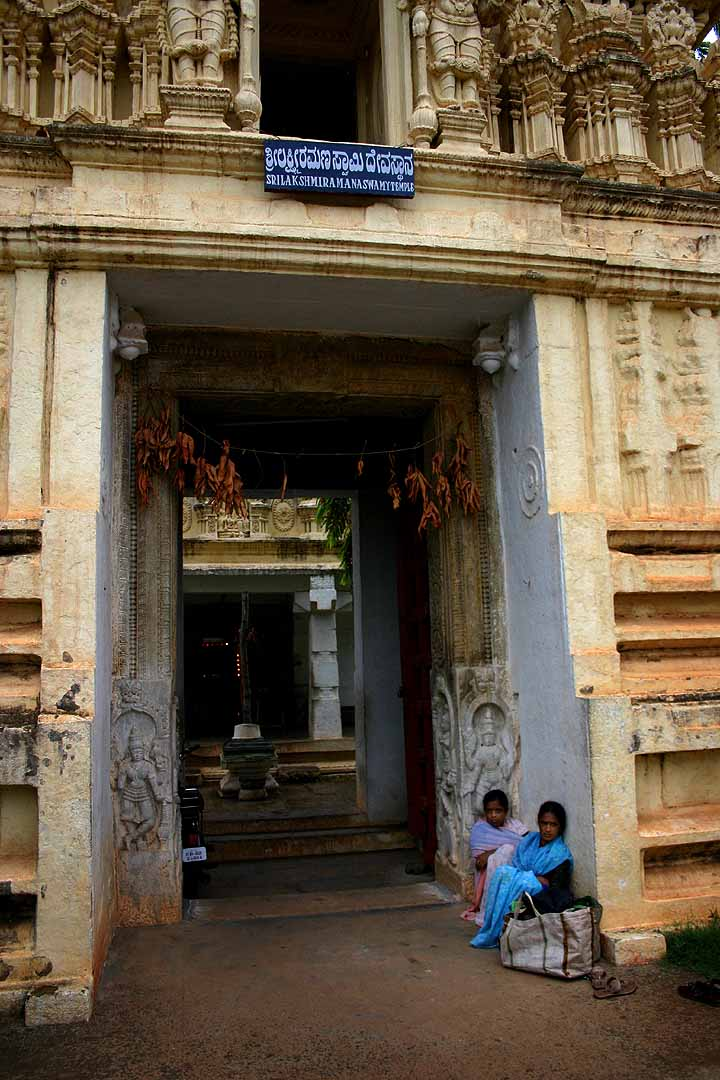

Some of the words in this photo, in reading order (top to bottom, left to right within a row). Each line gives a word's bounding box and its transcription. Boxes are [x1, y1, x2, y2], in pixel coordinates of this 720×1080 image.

[260, 139, 336, 177] ಶ್ರೀಲಕ್ರೀರಮಣ
[329, 145, 417, 181] ಸ್ವಾಮಿ ದೇವಸ್ಥಾನ
[263, 169, 418, 195] SRILAKSHMIRAMANASWAMYTEMPLE